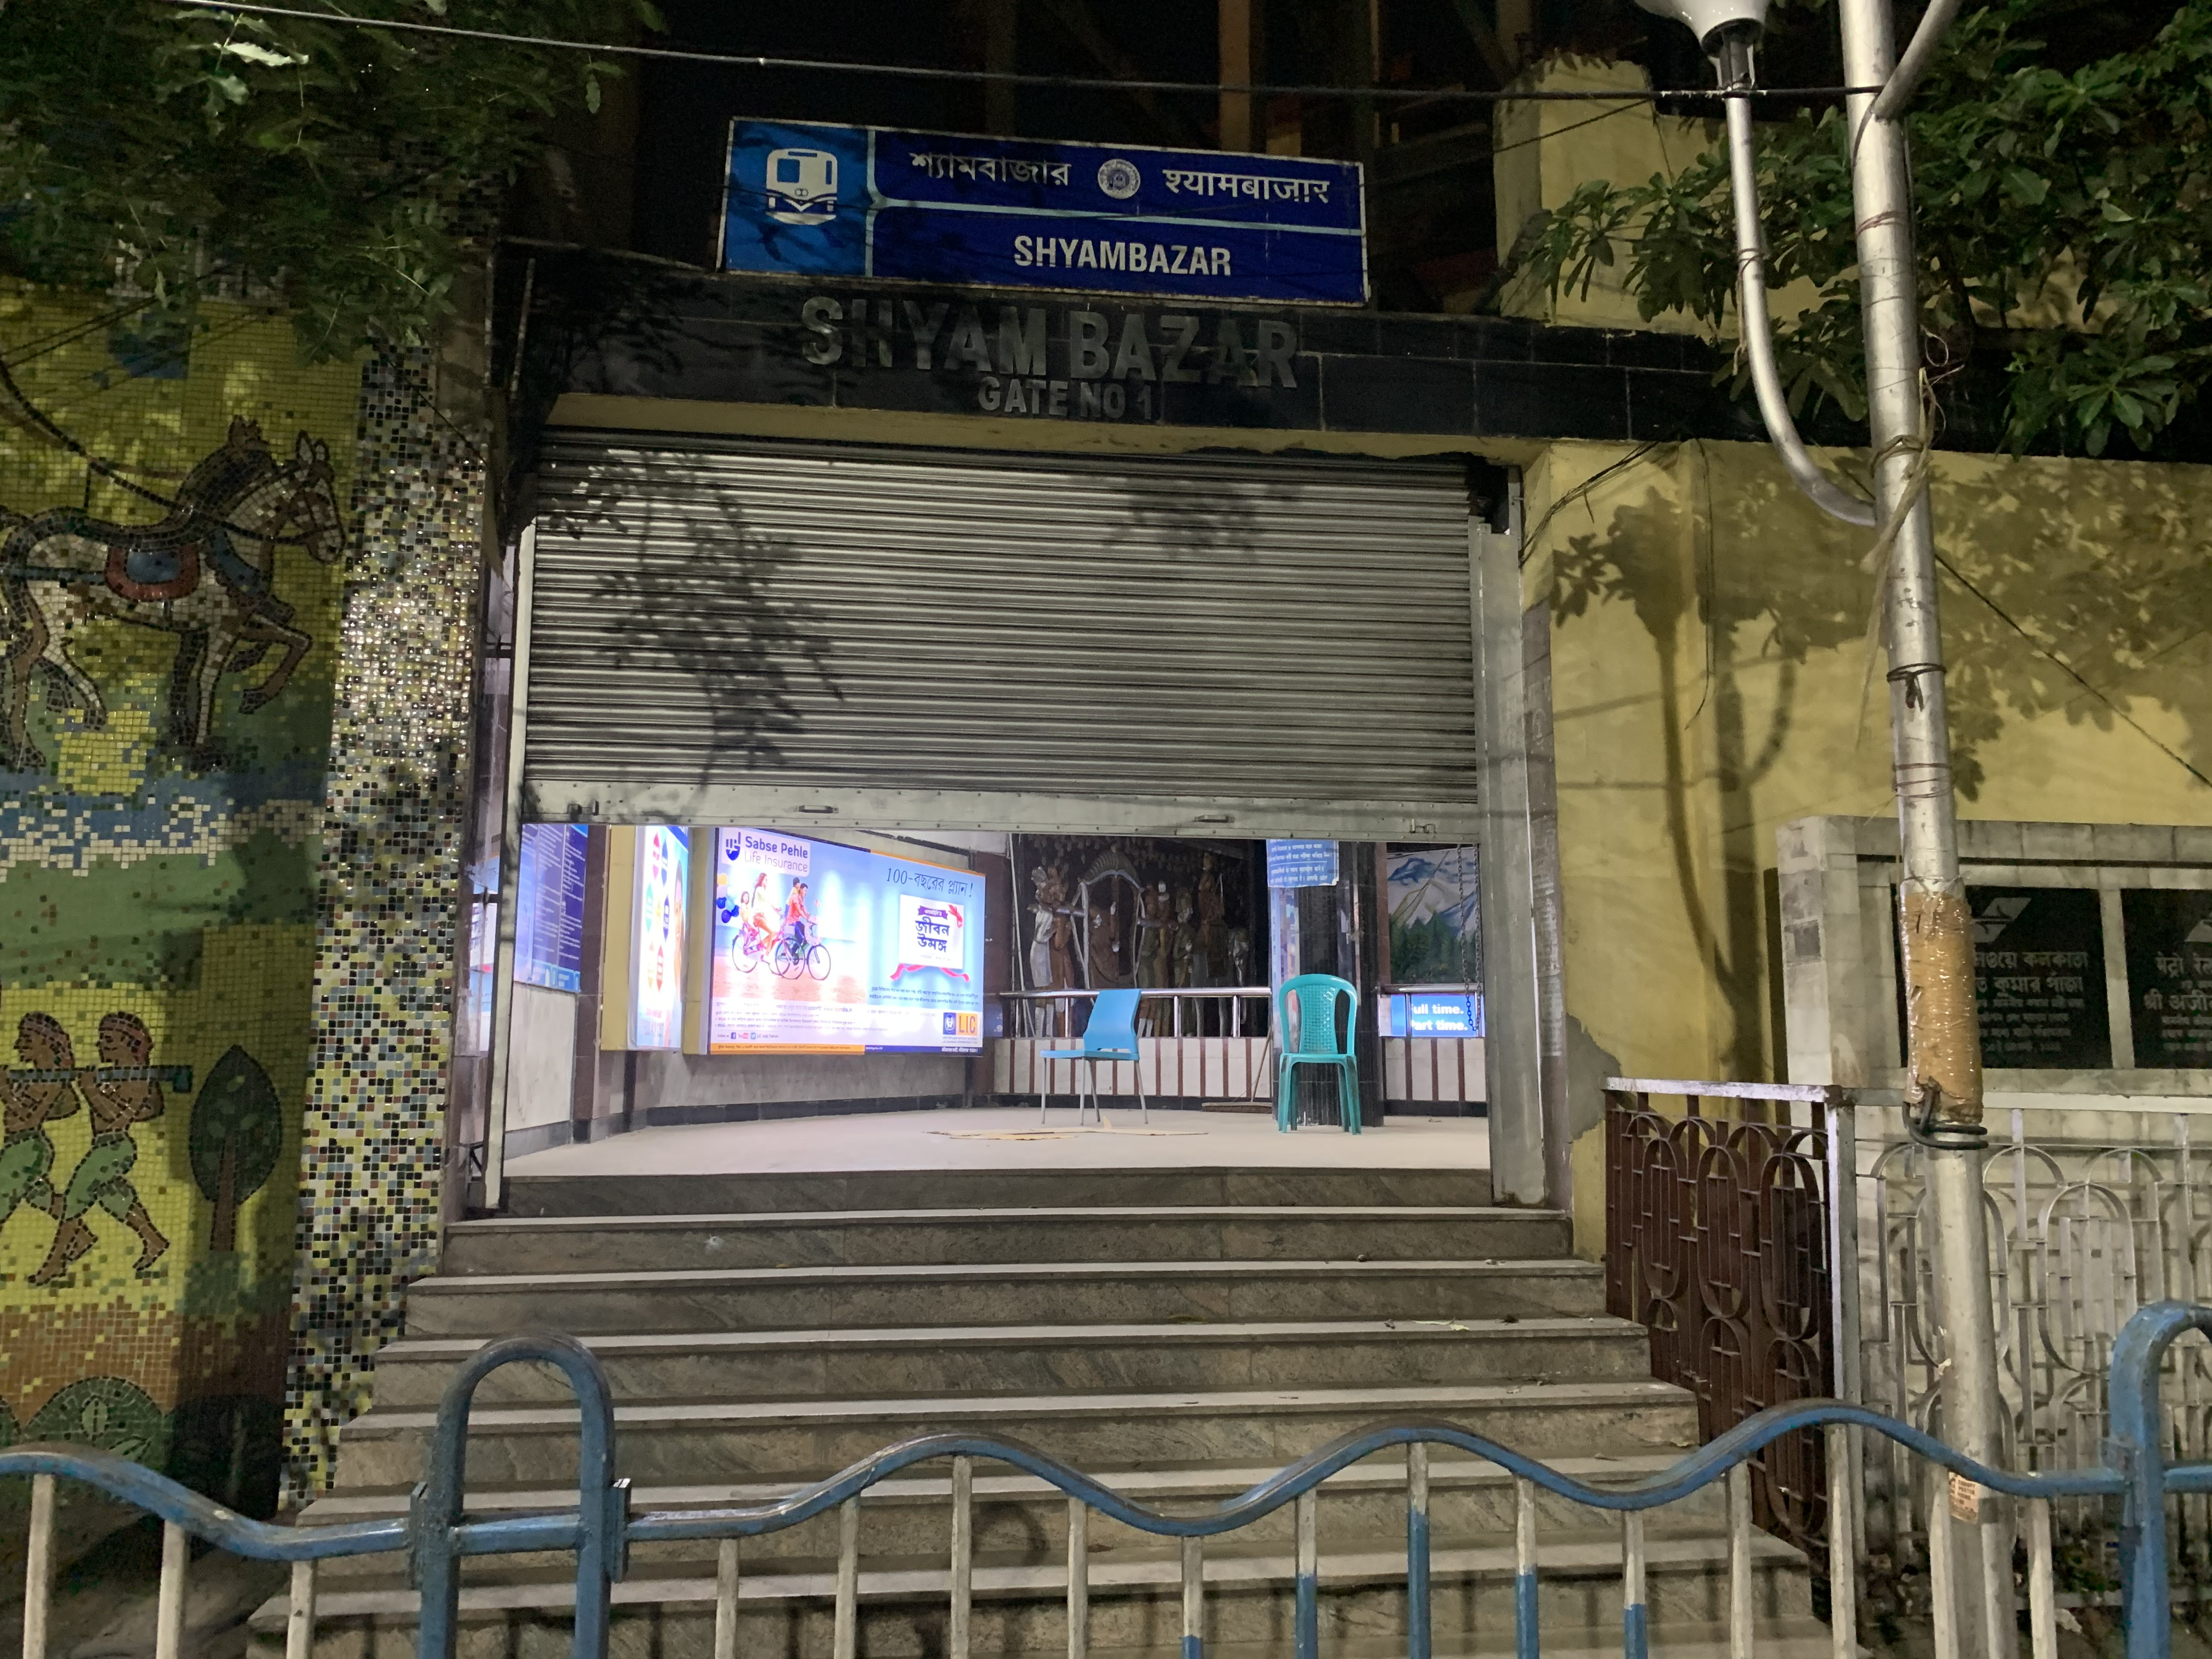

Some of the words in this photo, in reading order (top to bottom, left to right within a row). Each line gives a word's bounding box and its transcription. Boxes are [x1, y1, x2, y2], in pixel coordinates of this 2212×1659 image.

[900, 150, 1075, 192] শ্যামবাজার
[1158, 166, 1338, 207] श्यामबाजार
[1011, 227, 1238, 283] SHYAMBAZAR
[792, 283, 1056, 381] SHYAM
[1067, 307, 1306, 395] BAZ-AR
[966, 371, 1077, 422] GATE
[1074, 379, 1158, 431] NO 1
[742, 849, 765, 866] Life
[743, 831, 781, 857] Sabse
[761, 851, 810, 876] Insurance
[780, 840, 812, 862] Pehle
[885, 864, 949, 896] 100-বছরের
[941, 876, 975, 900] প্ল্যান !
[912, 912, 954, 938] জীবন
[913, 930, 949, 955] উমঙ্গ
[1972, 946, 2019, 973] সওয়ে
[2022, 947, 2091, 973] কলকাতা
[2151, 942, 2187, 982] मेट्रो
[1431, 998, 1465, 1020] time.
[1989, 974, 2042, 995] কমার
[2044, 968, 2087, 998] পাঁজা
[2141, 977, 2168, 1013] श्री
[2166, 984, 2210, 1013] अजी
[1404, 1019, 1435, 1034] Part
[1432, 1017, 1470, 1036] time.